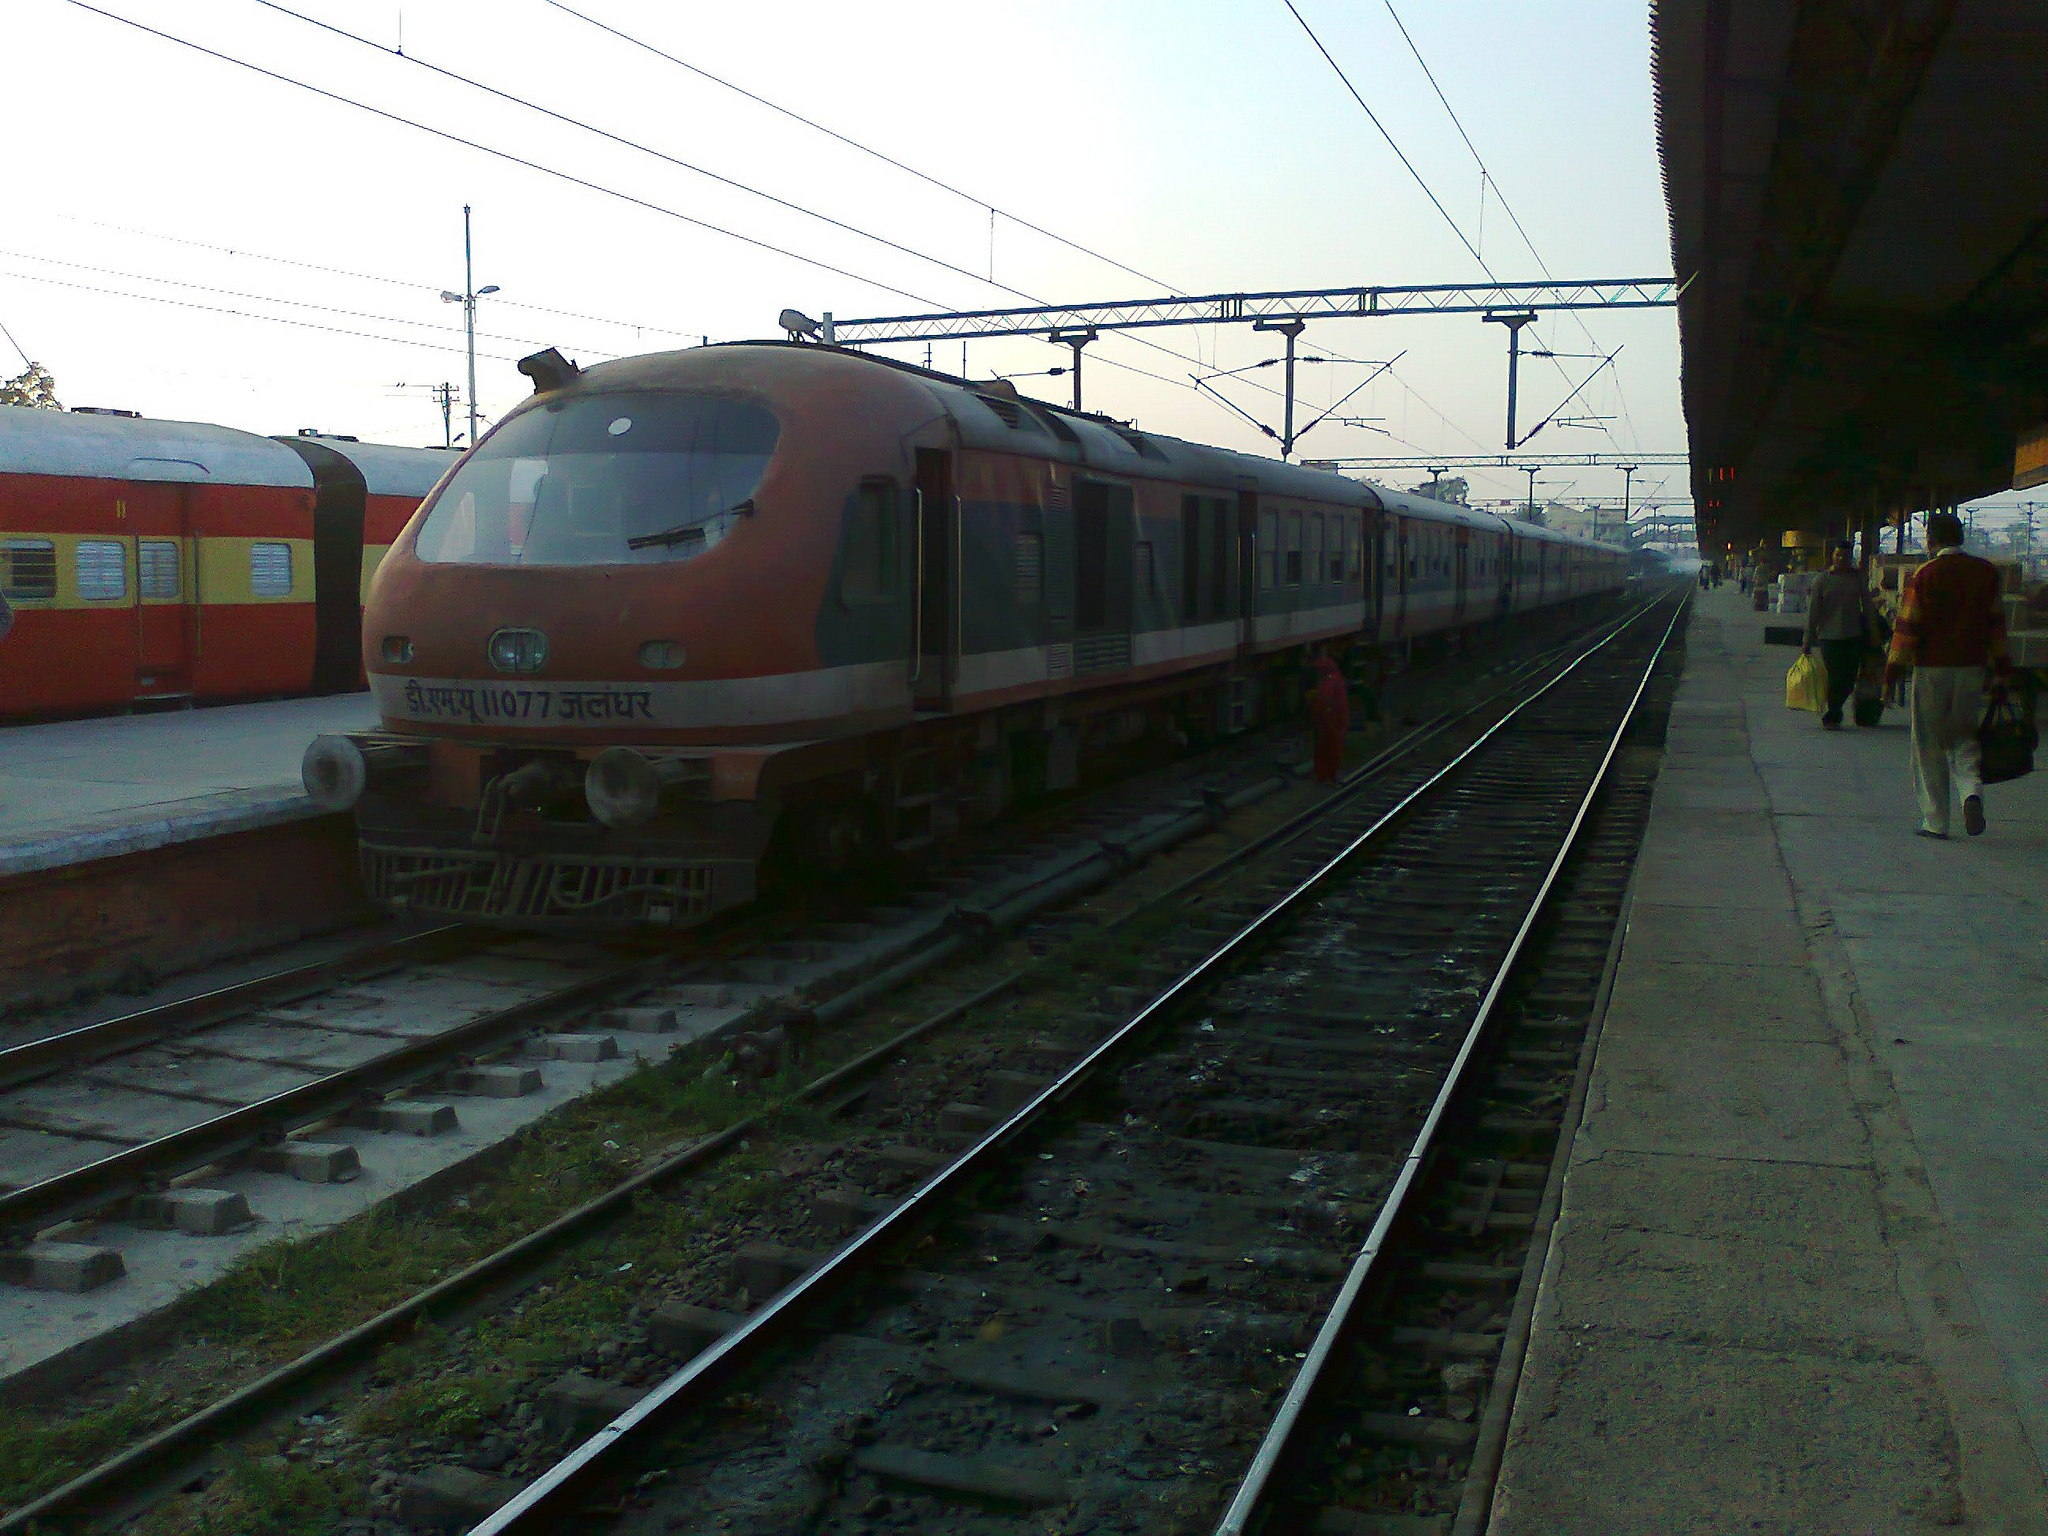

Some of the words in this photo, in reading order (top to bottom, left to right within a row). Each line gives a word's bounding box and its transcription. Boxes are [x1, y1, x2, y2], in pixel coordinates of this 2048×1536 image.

[399, 677, 487, 729] डी॰एम॰यू
[477, 681, 553, 720] 11077
[553, 681, 662, 731] जलंधर